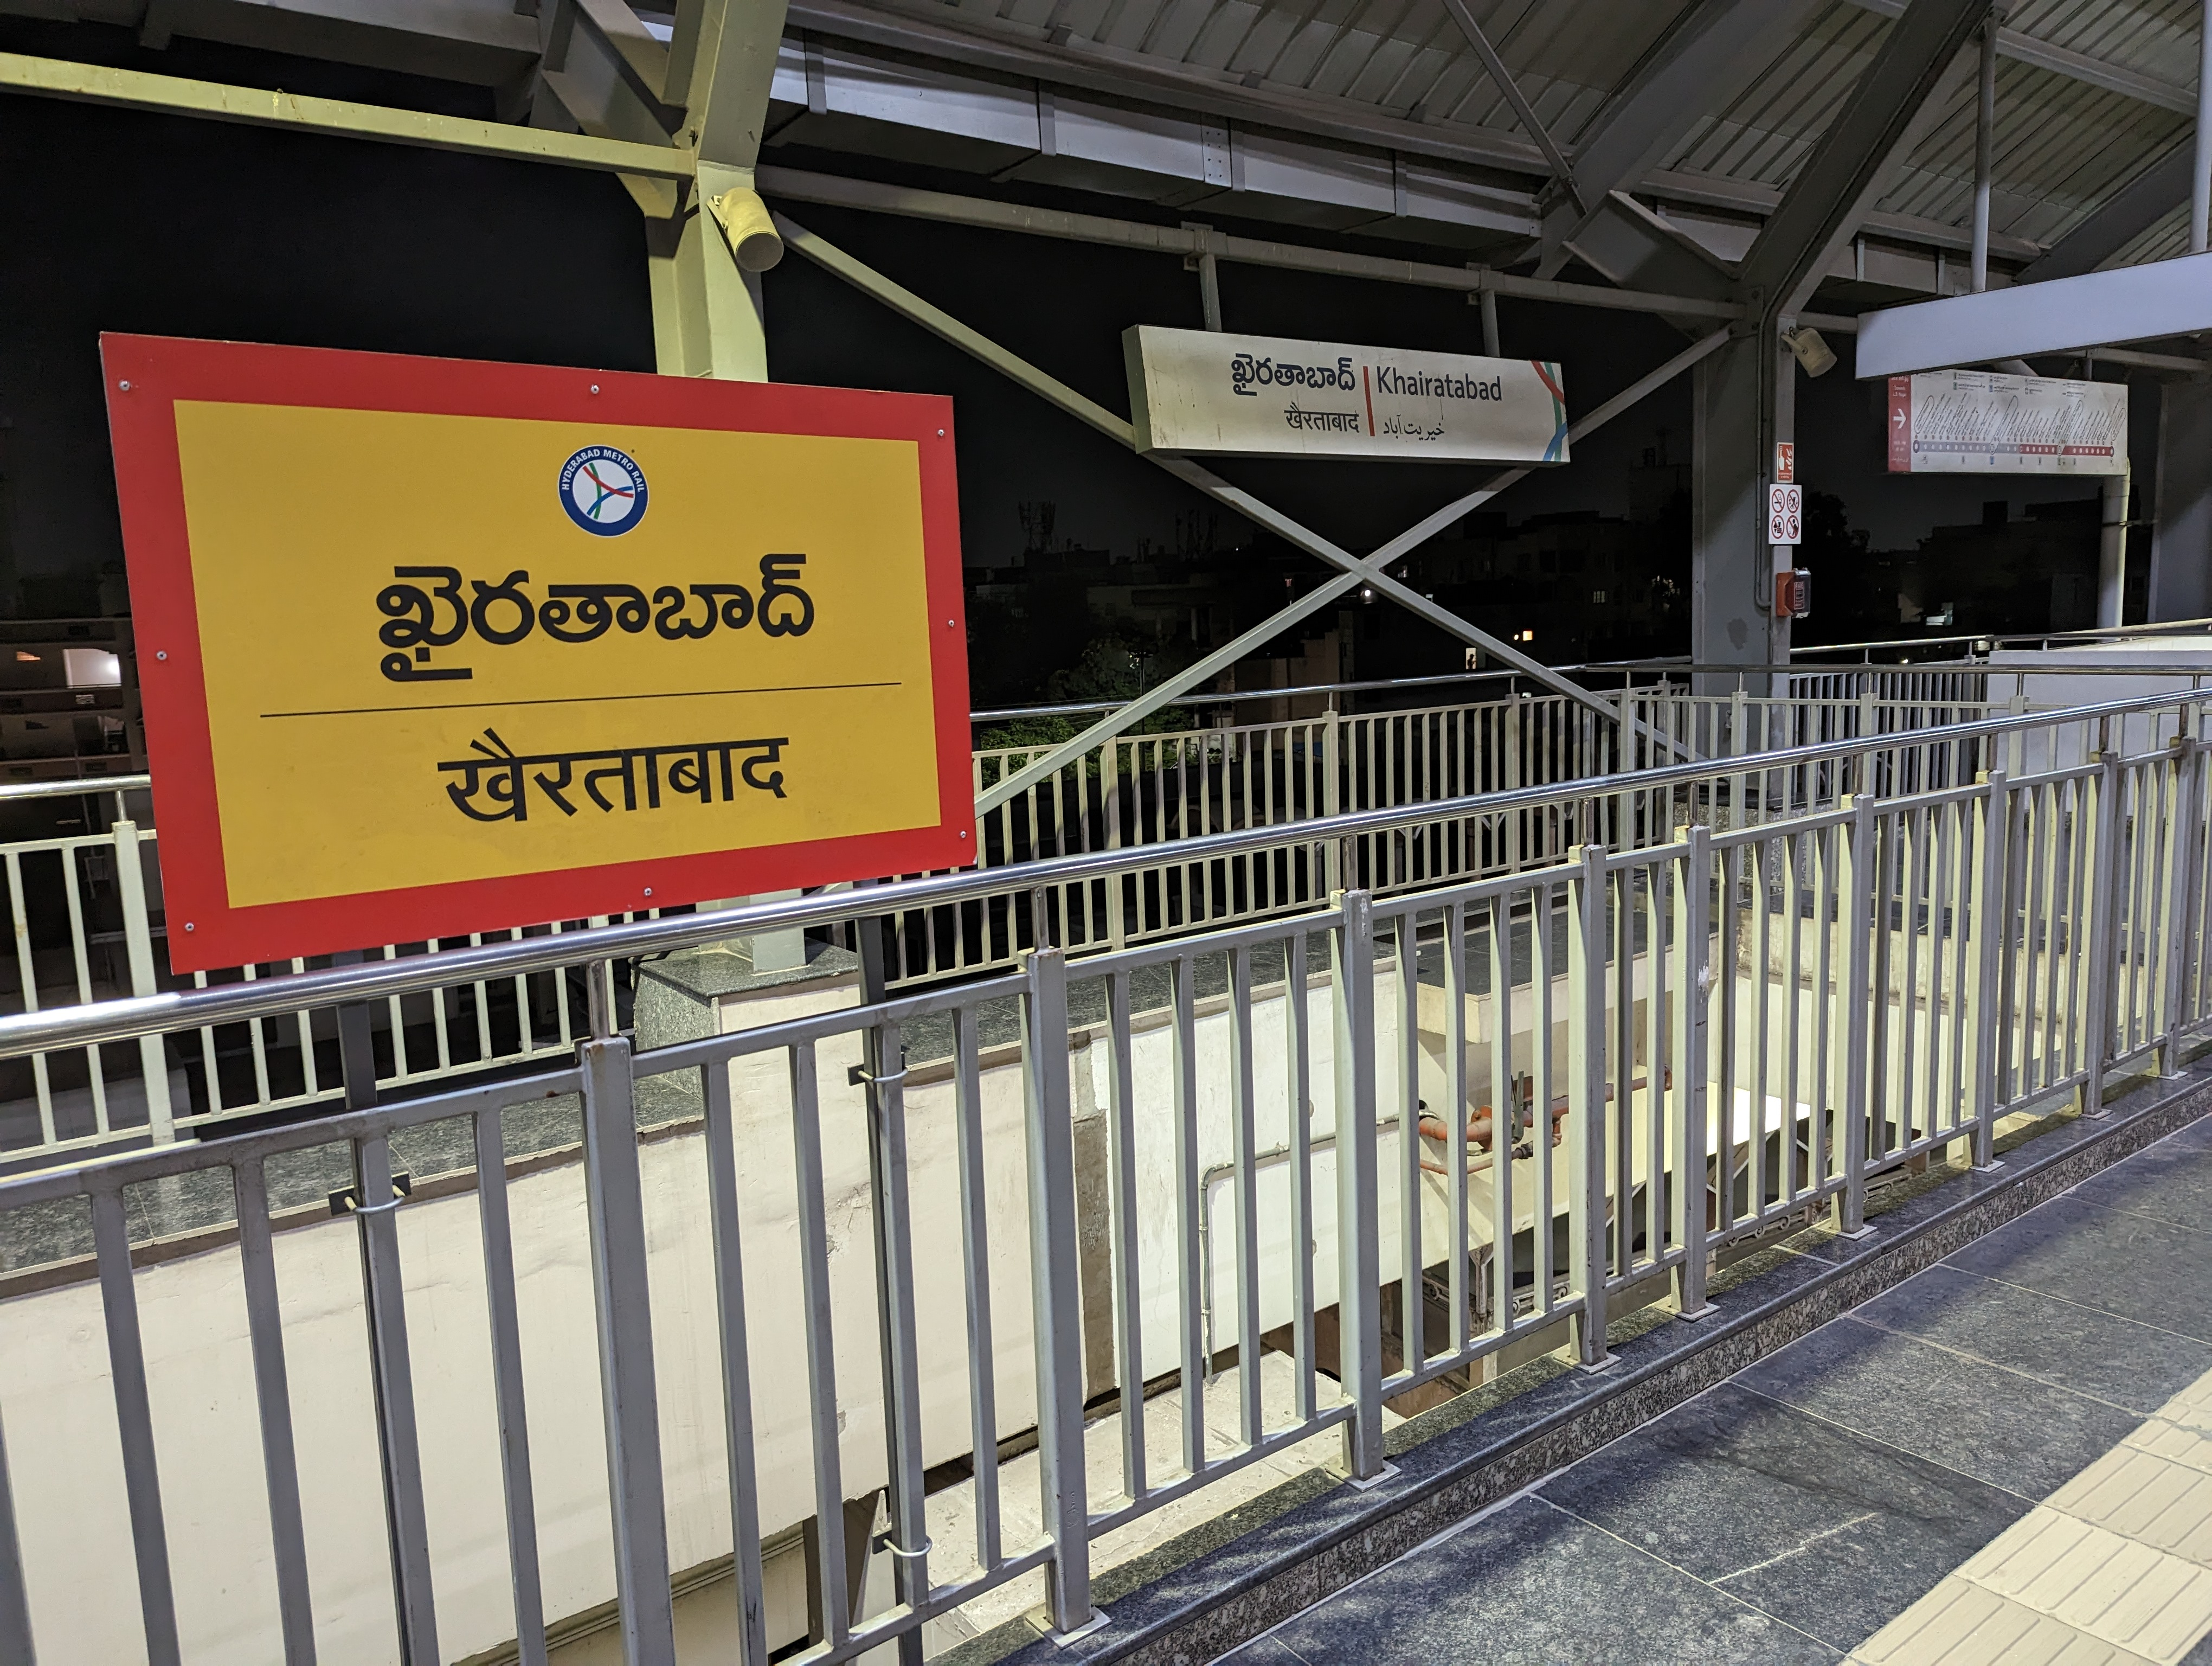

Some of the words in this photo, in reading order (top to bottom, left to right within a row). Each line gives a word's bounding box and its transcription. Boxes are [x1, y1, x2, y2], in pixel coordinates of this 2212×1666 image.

[1225, 348, 1355, 398] ఖైరతాబాద్
[1374, 364, 1504, 404] Khairatabad
[1279, 399, 1360, 434] खैरताबाद
[556, 447, 602, 494] HYDERABAD
[600, 446, 636, 473] METRO
[628, 467, 648, 496] RAIL
[373, 549, 819, 683] ఖైరతాబాద్
[435, 722, 793, 826] खैरताबाद